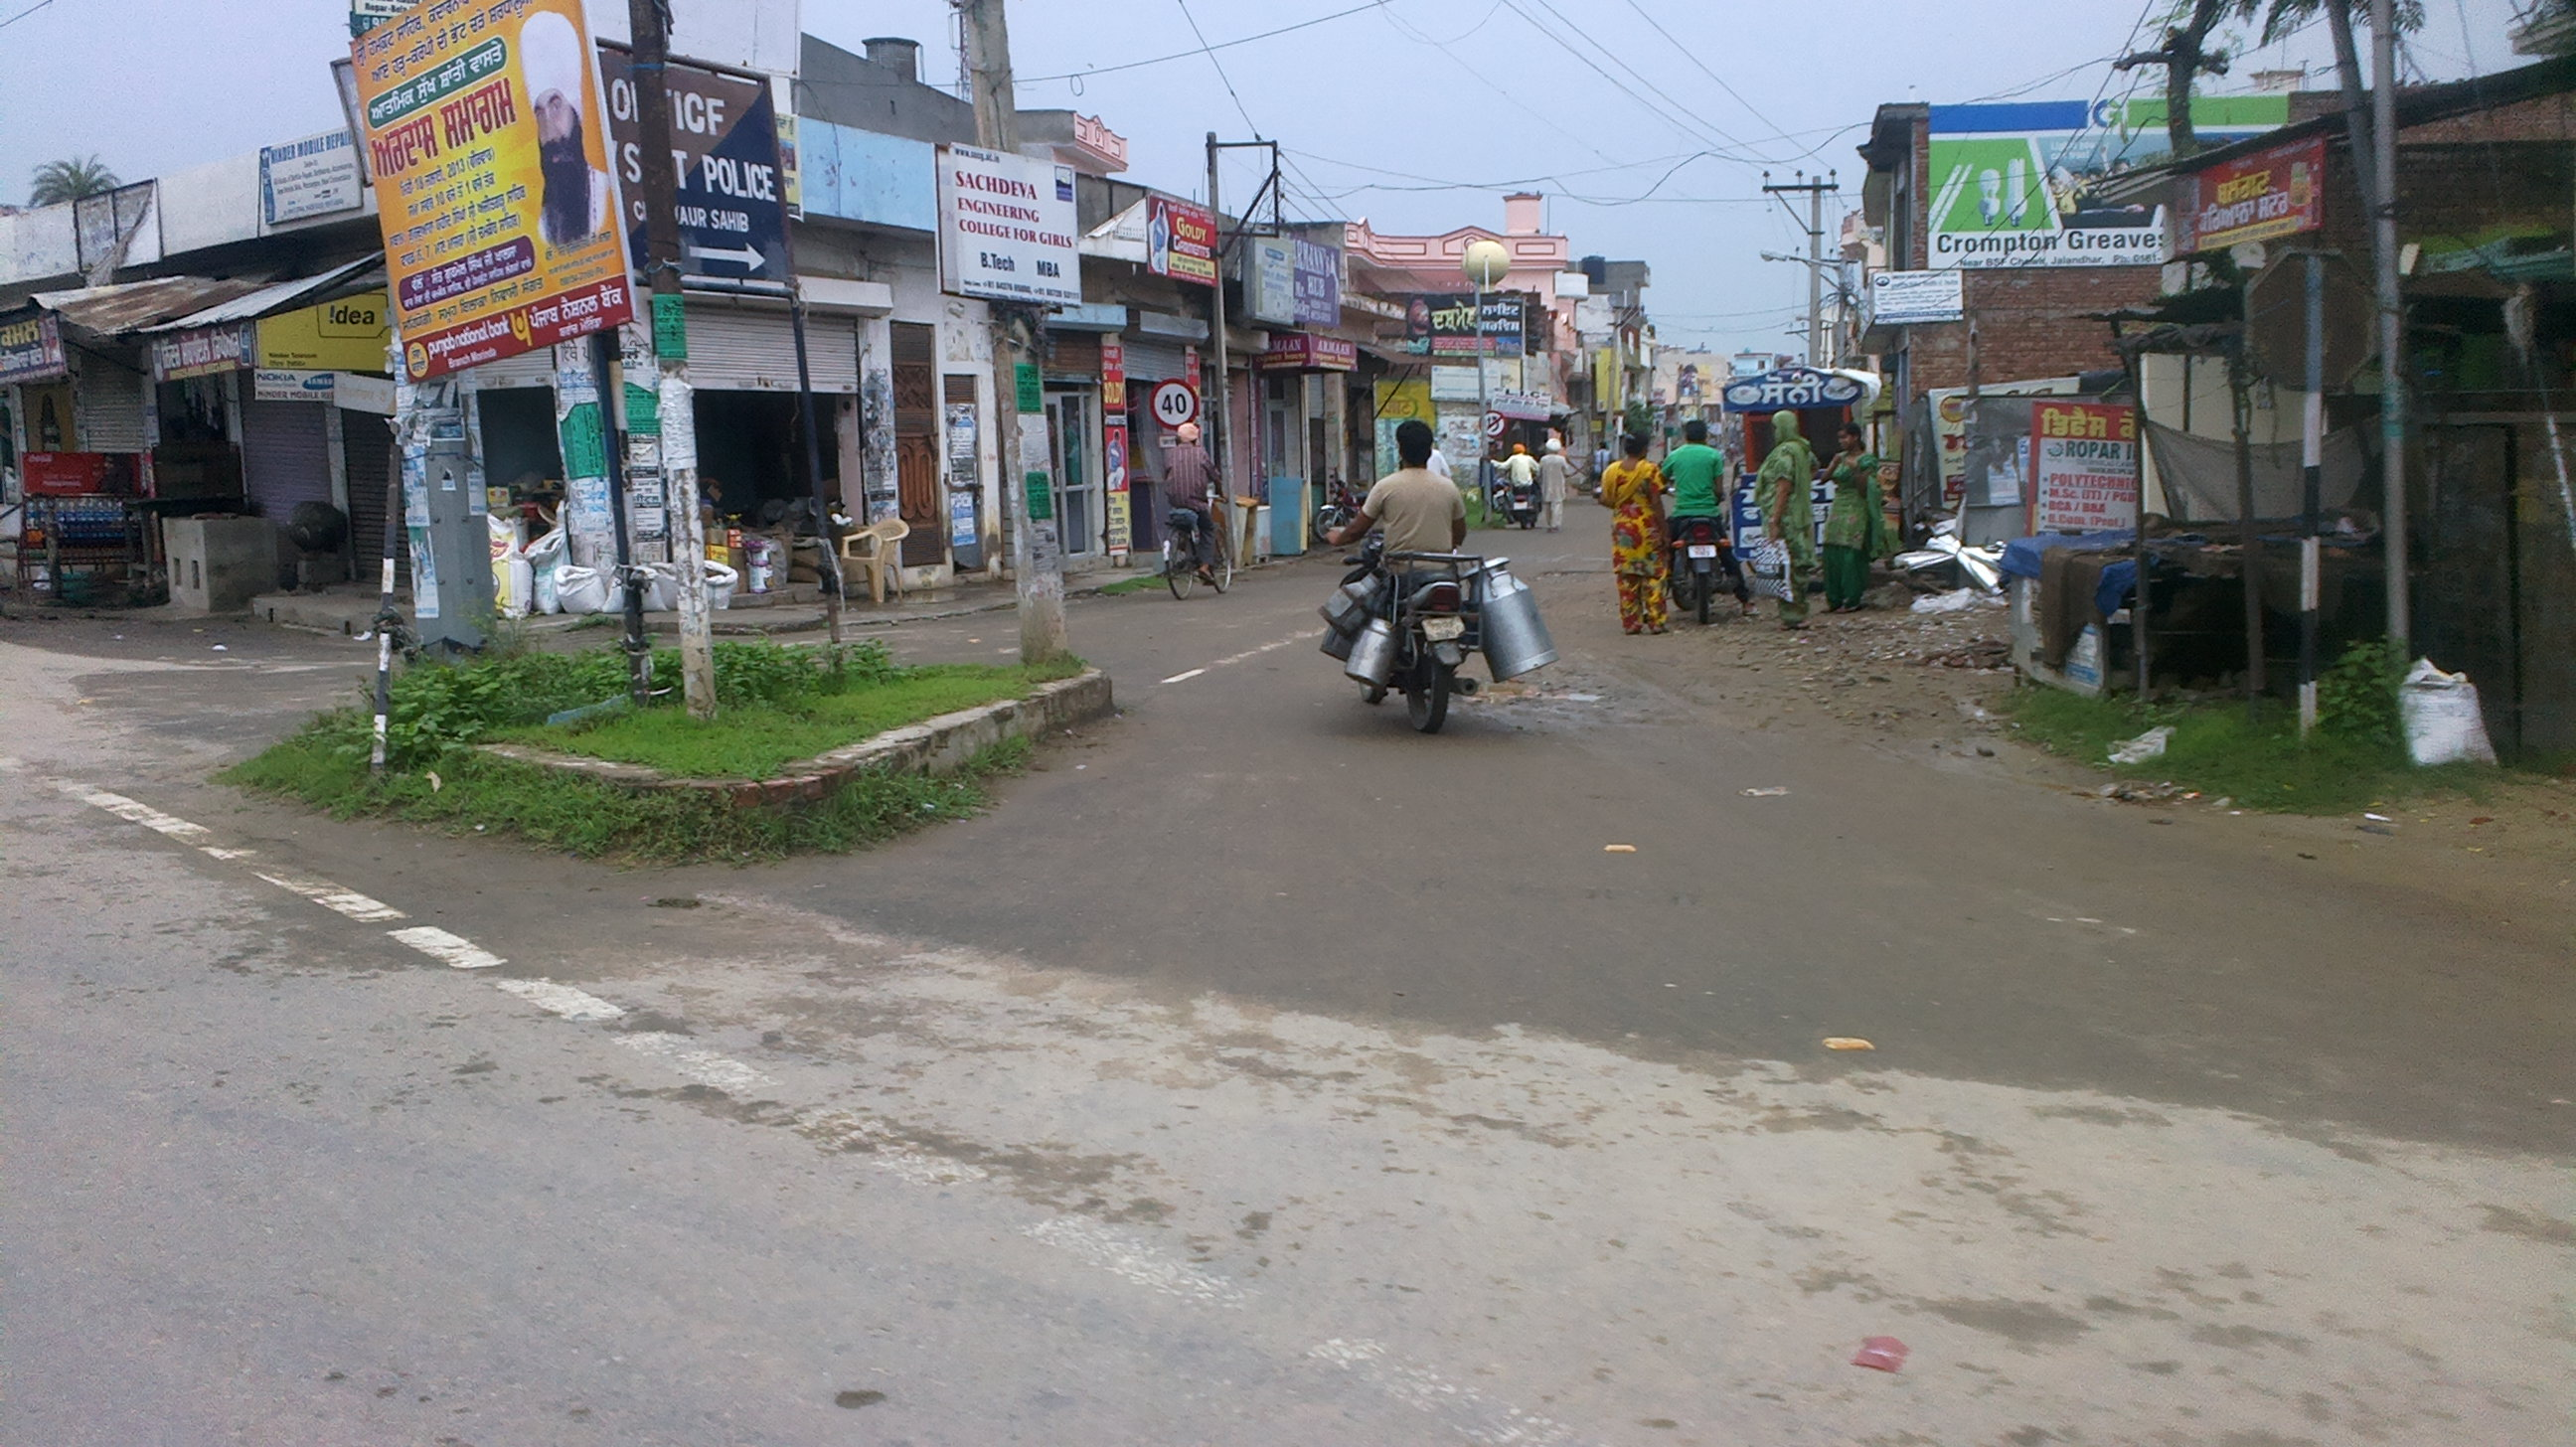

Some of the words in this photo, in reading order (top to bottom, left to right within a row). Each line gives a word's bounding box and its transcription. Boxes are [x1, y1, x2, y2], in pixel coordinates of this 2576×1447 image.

[367, 79, 418, 126] ਆਤਮਿਕ
[412, 70, 437, 108] ਸੁੱਖ
[434, 56, 469, 92] ਸ਼ਾਂਤੀ
[434, 72, 527, 157] ਸਮਾਗਮ
[465, 38, 505, 79] ਵਾਸਤੇ
[673, 84, 729, 139] ICF
[367, 107, 444, 186] ਅਰਦਾਸ
[699, 147, 779, 205] POLICE
[953, 166, 1041, 203] SACHDEVA
[710, 205, 754, 237] SAHIB
[957, 214, 1013, 241] COLLEGE
[955, 195, 1043, 226] ENGINEERING
[1013, 222, 1039, 247] FOR
[1039, 226, 1074, 250] GIRLS
[1173, 213, 1210, 243] GOLDY
[1933, 228, 2062, 257] Crompton
[2065, 227, 2162, 250] Greave:
[977, 249, 1018, 275] B.Tech
[1033, 257, 1064, 280] MBA
[323, 301, 380, 328] !dea
[527, 300, 563, 333] ਪੰਜਾਬ
[556, 285, 600, 322] ਨੈਸ਼ਨਲ
[595, 277, 627, 313] ਬੈਂਕ
[1158, 391, 1190, 416] 40
[1758, 369, 1826, 407] ਸਨੀ
[2038, 402, 2115, 440] ਡਿਫੈਂਸ
[2062, 437, 2125, 462] ROPAR